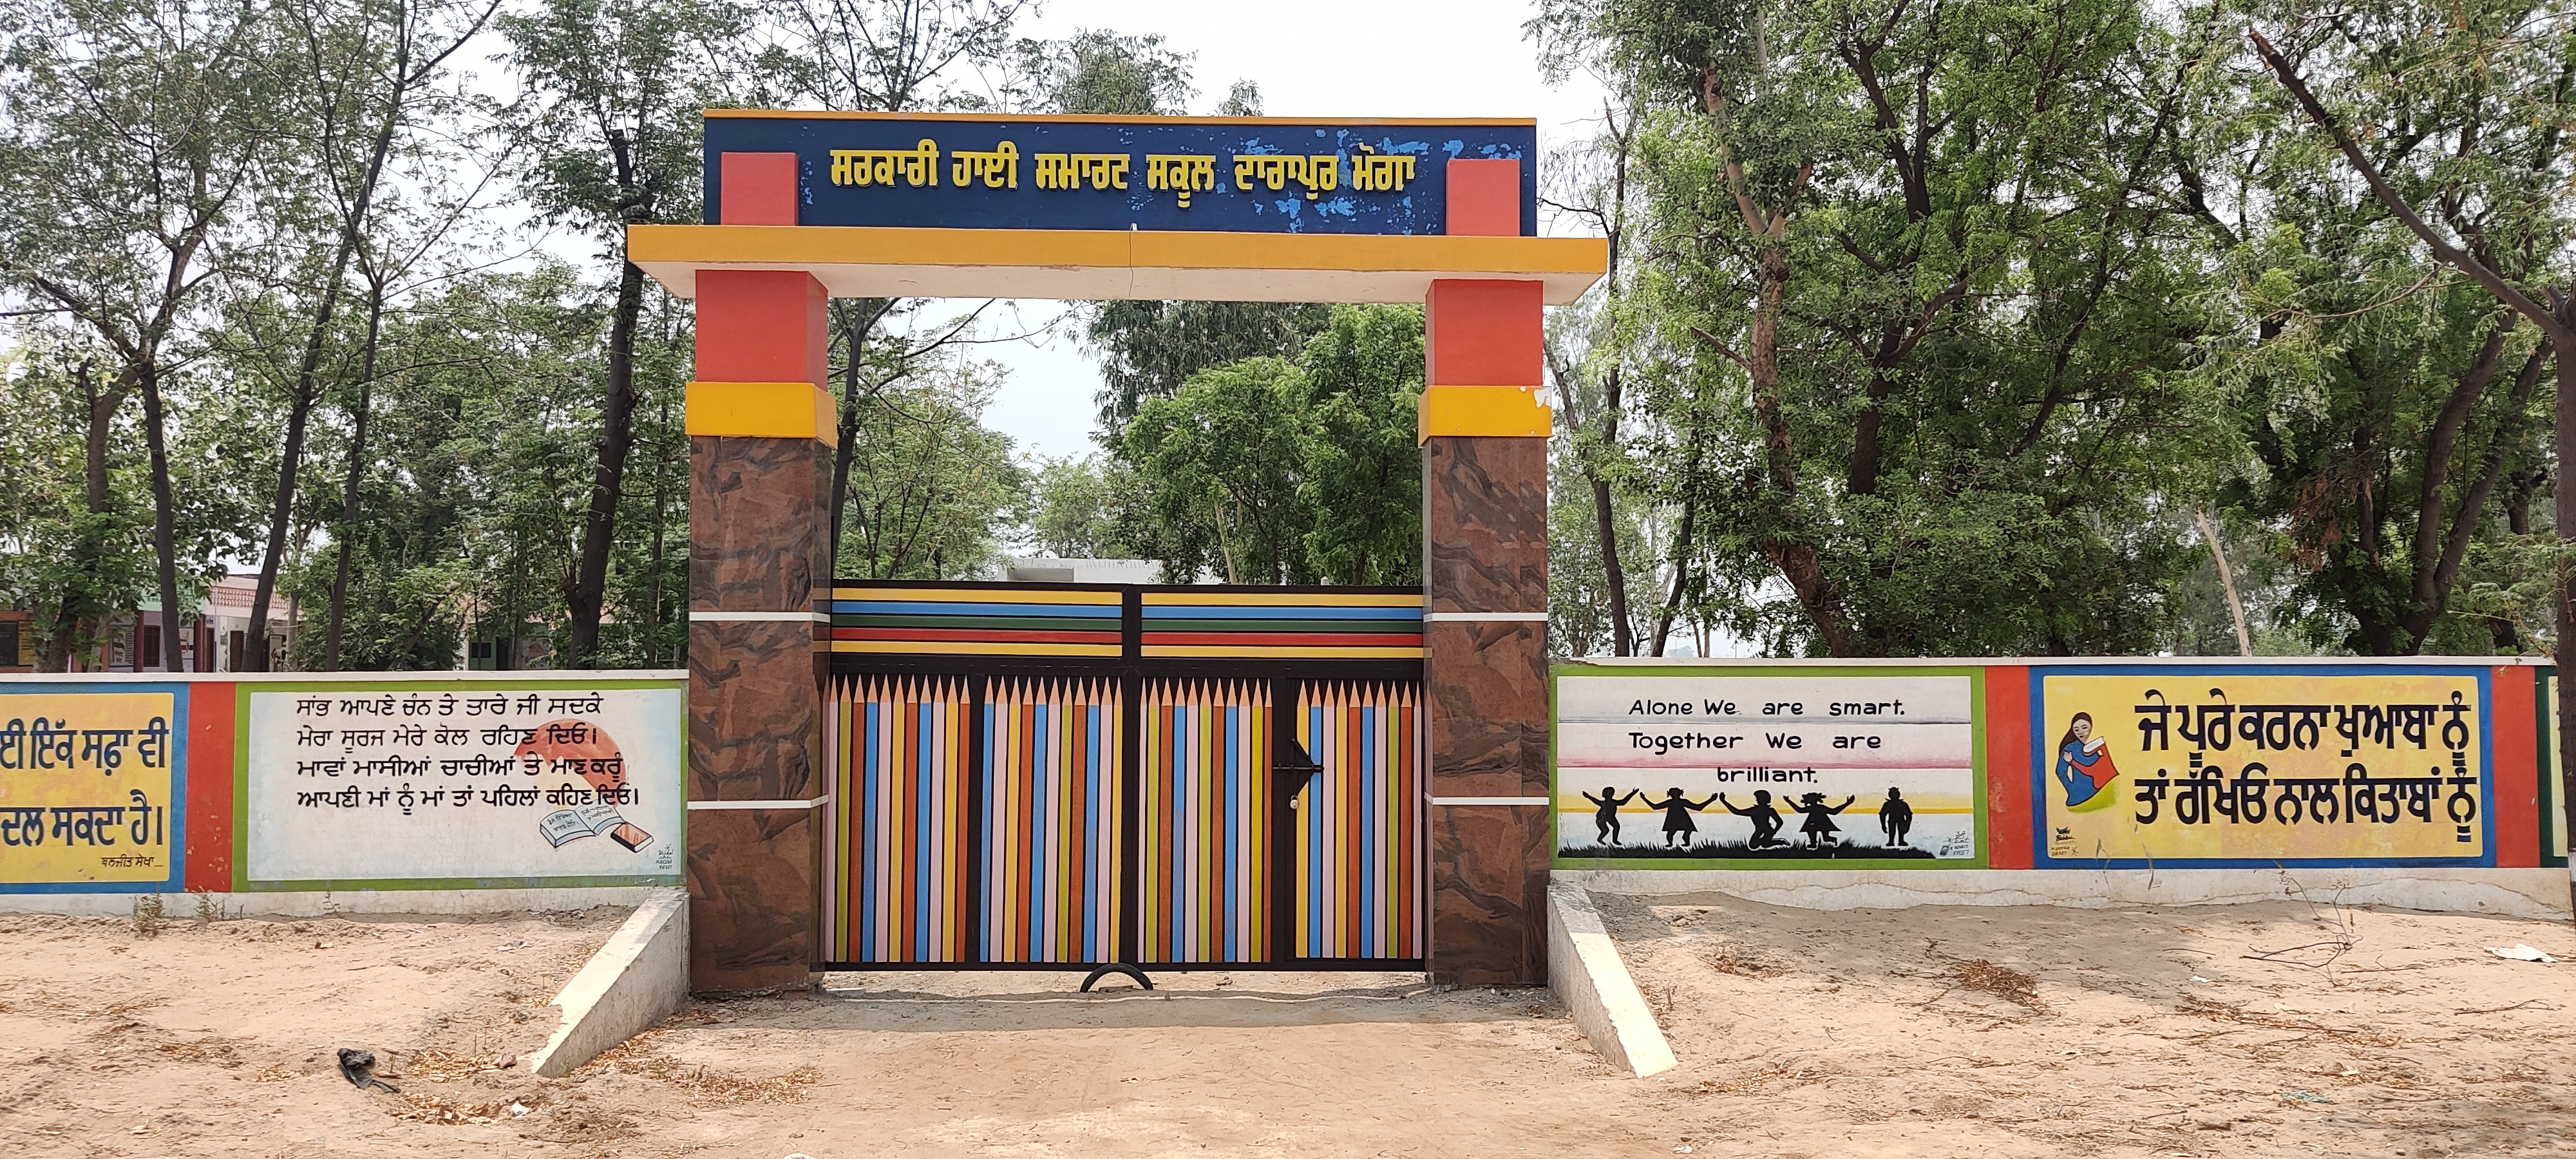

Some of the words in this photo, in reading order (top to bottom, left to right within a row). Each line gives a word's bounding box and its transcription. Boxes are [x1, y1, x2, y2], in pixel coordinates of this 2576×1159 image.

[825, 131, 945, 197] ਸਰਕਾਰੀ
[942, 135, 1026, 196] ਹਾਈ
[1025, 146, 1139, 201] ਸਮਾਰਟ
[1137, 148, 1222, 214] ਸਕੂਲ
[1227, 148, 1344, 206] ਦਾਰਾਪੁਰ
[1343, 139, 1421, 201] ਮੋਗਾ
[0, 713, 30, 773] ਈ
[25, 711, 79, 774] ਇੱਕ
[79, 724, 137, 784] ਸਫ਼ਾ
[133, 711, 173, 771] ਵੀ
[289, 691, 334, 721] ਸਾਂਭ
[290, 721, 337, 750] ਮੇਰਾ
[290, 755, 350, 780] ਮਾਵਾਂ
[337, 727, 390, 757] ਸੂਰਜ
[333, 688, 401, 721] ਆਪਣੇ
[348, 751, 433, 782] ਮਾਸੀਆਂ
[387, 720, 430, 750] ਮੇਰੇ
[397, 692, 436, 719] ਚੰਨ
[433, 691, 462, 720] ਤੇ
[429, 719, 472, 748] ਕੋਲ
[435, 751, 519, 782] ਚਾਚੀਆਂ
[463, 688, 514, 722] ਤਾਰੇ
[476, 722, 544, 749] ਰਹਿਣ
[512, 692, 543, 719] ਜੀ
[518, 746, 547, 778] ਤੇ
[541, 717, 592, 747] ਦਿਓ
[547, 755, 590, 779] ਮਾਣ
[544, 688, 609, 717] ਸਦਕੇ
[589, 749, 627, 784] ਕਰੂੰ
[1625, 695, 1699, 720] Alone
[1620, 730, 1747, 762] Together
[1700, 696, 1739, 717] We
[1714, 764, 1819, 787] brilliant.
[1757, 696, 1806, 721] are
[1762, 729, 1802, 751] We
[1825, 733, 1889, 753] are
[1827, 696, 1906, 718] smart.
[2122, 678, 2174, 761] ਜੇ
[2172, 679, 2237, 769] ਪੂਰੇ
[2235, 697, 2441, 765] ਕਰਨਾ ਖੁਆਬਾ
[2438, 684, 2477, 768] ਨੂੰ
[0, 800, 48, 849] ਦਲ
[44, 802, 127, 849] ਸਕਦਾ
[124, 784, 156, 848] ਹੈ
[292, 783, 365, 813] ਆਪਣੀ
[364, 783, 393, 811] ਮਾਂ
[393, 780, 416, 818] ਨੂੰ
[415, 782, 448, 810] ਮਾਂ
[444, 780, 477, 812] ਤਾਂ
[474, 780, 543, 813] ਪਹਿਲਾਂ
[542, 778, 594, 810] ਕਹਿਣ
[594, 779, 633, 808] ਦਿਓ
[2125, 762, 2172, 835] ਤਾਂ
[2167, 759, 2272, 834] ਰੱਖਿਓ
[2269, 775, 2341, 829] ਨਾਲ
[2340, 757, 2445, 834] ਕਿਤਾਬਾਂ
[2443, 766, 2481, 847] ਨੂੰ
[97, 849, 158, 871] ਬਲਜੀਤ ਸੇਖਾ